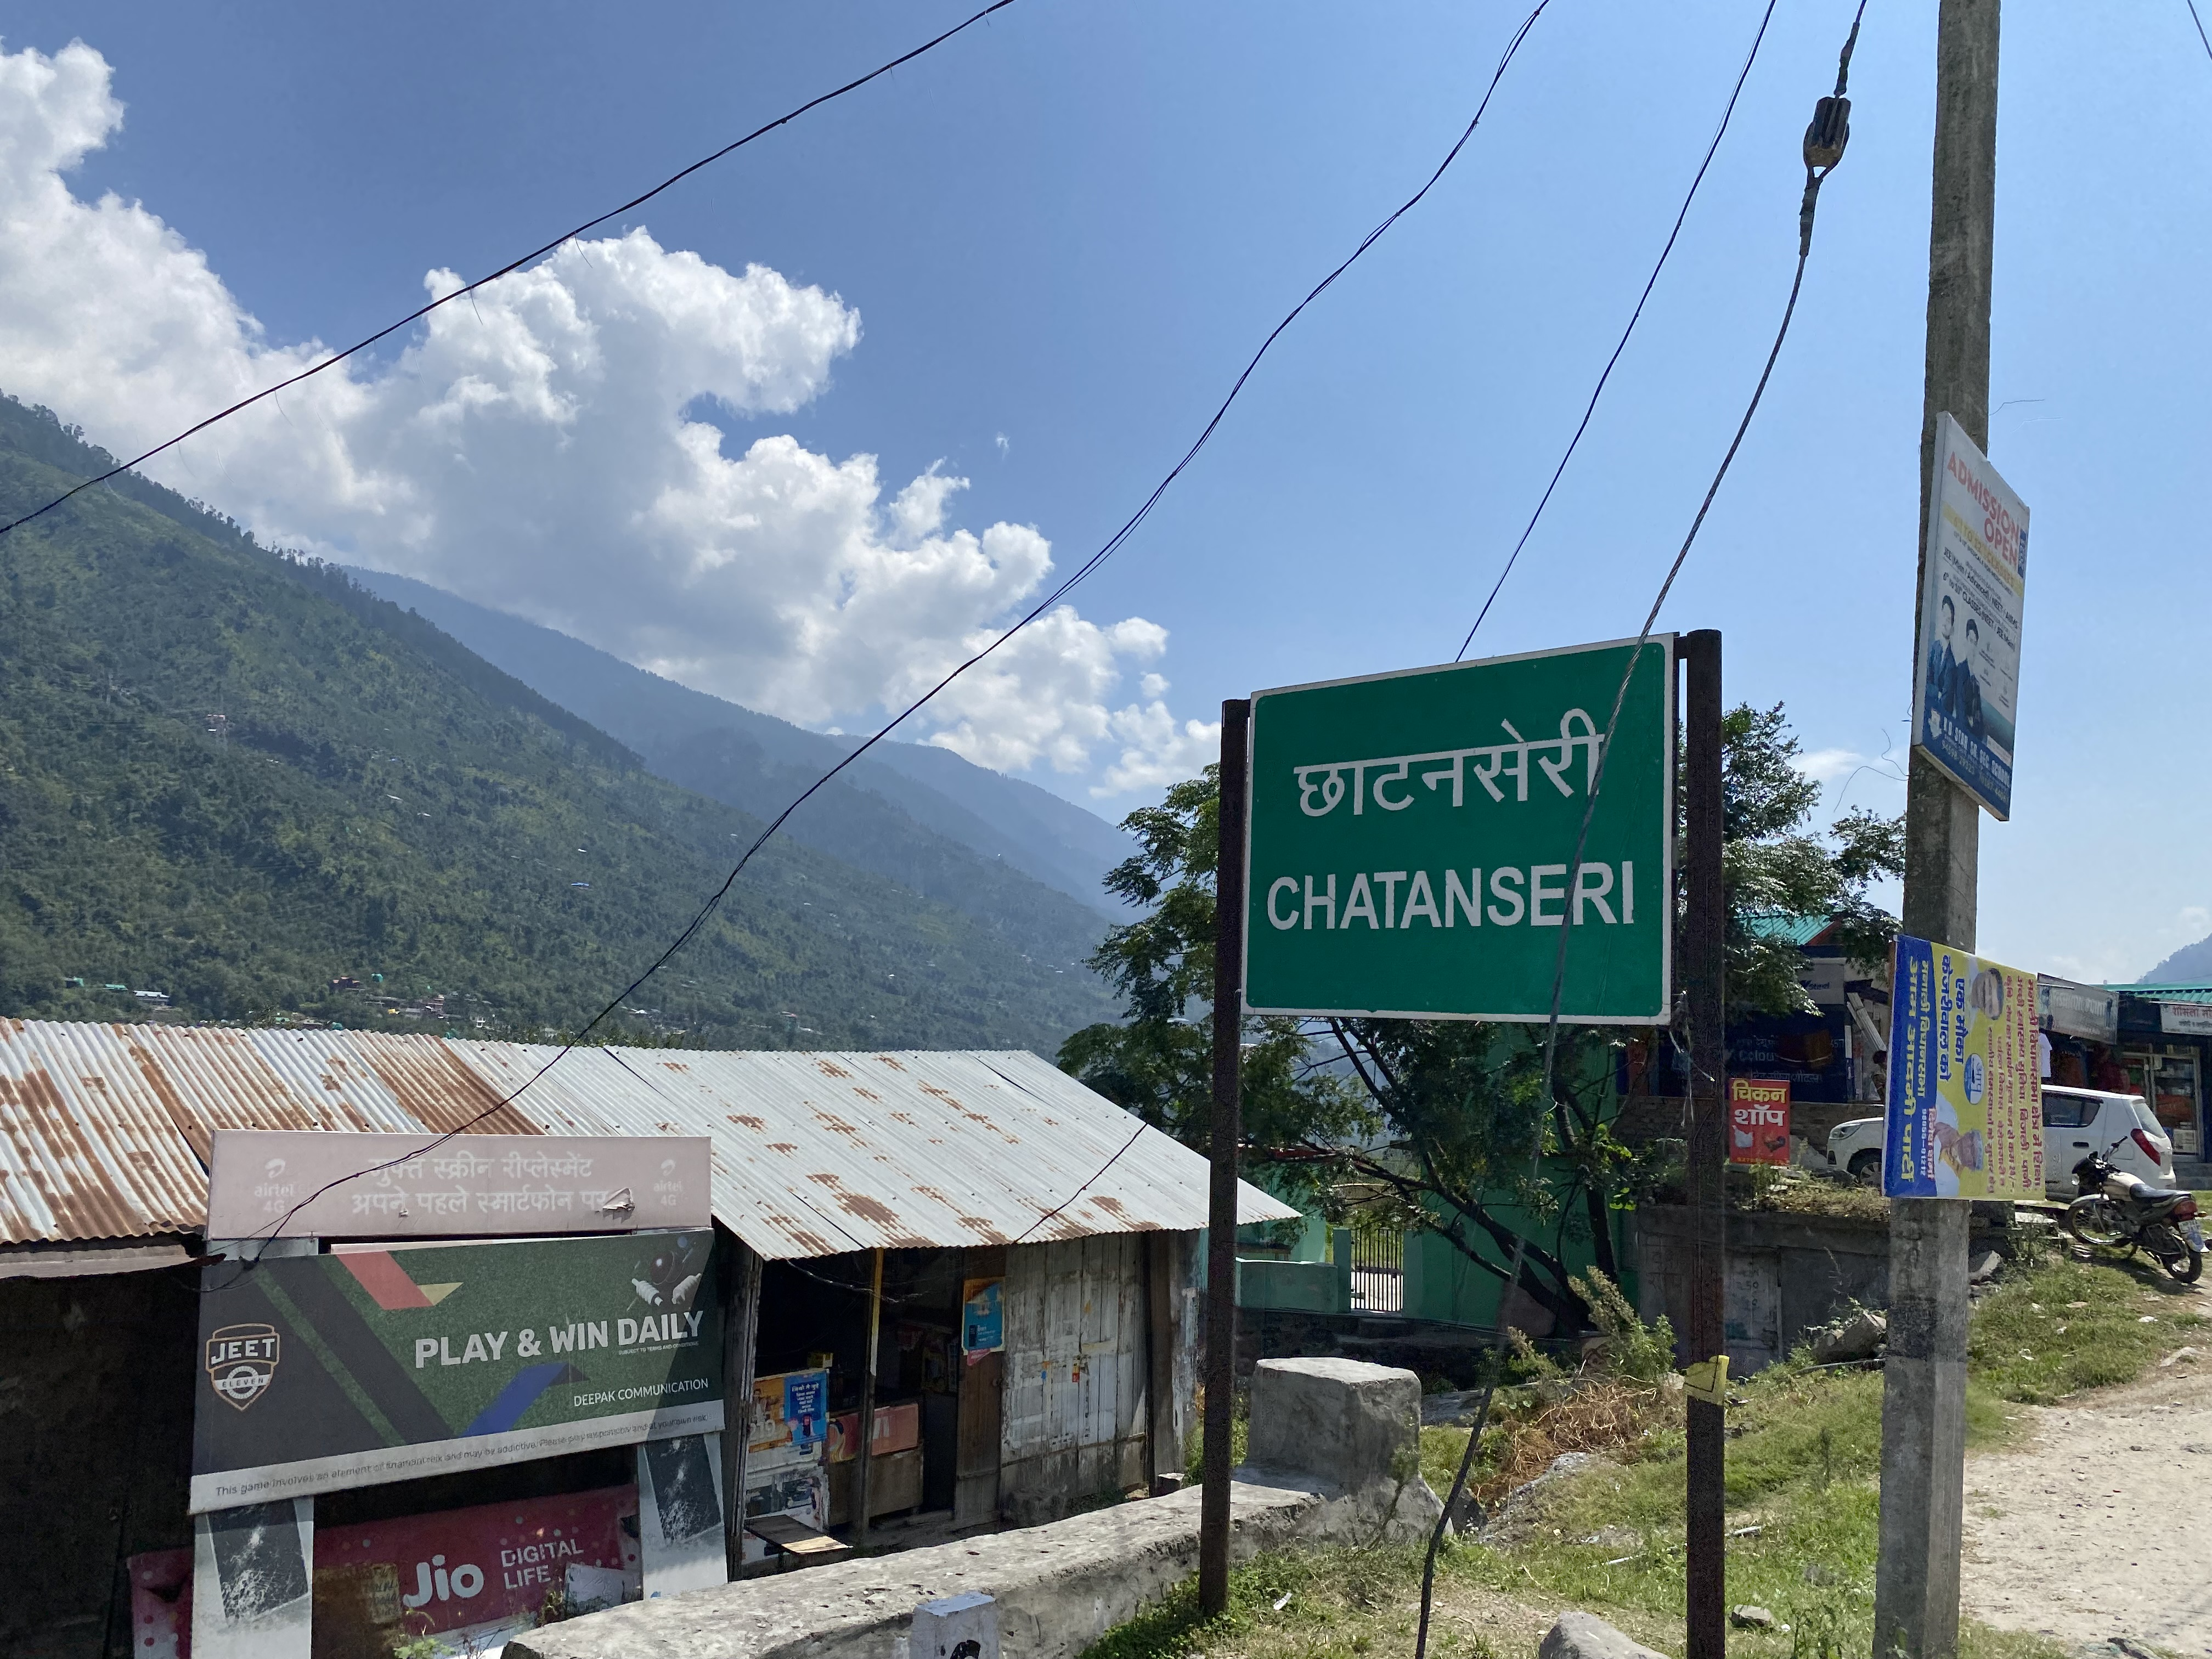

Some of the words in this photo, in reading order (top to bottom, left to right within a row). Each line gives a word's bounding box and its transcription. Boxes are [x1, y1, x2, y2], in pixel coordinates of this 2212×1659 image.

[1288, 701, 1610, 823] छाटनसेरी
[1263, 856, 1640, 941] CHATANSERI
[1905, 953, 1922, 1020] आम
[1916, 957, 1933, 1015] मनाली
[1934, 953, 1956, 1054] केजरीवाल
[1953, 975, 1967, 1014] एक
[1727, 1074, 1787, 1105] चिकन
[1901, 1023, 1921, 1120] आदमी
[1914, 1013, 1933, 1101] विधानसभा
[1936, 1051, 1954, 1086] को
[1951, 1013, 1971, 1067] मौका
[1729, 1099, 1787, 1130] शॉप
[1923, 1102, 1938, 1150] दिनेश
[252, 1181, 297, 1199] ओरेशी
[263, 1195, 291, 1217] 4G
[348, 1182, 409, 1218] अपने
[365, 1155, 428, 1190] मुफ्त
[410, 1182, 472, 1216] पहले
[432, 1144, 498, 1182] स्क्रीन
[474, 1179, 575, 1215] स्मार्टफोन
[500, 1147, 597, 1181] रीप्लेस्मेंट
[577, 1188, 611, 1212] पर
[650, 1178, 684, 1195] airtel
[656, 1193, 678, 1209] 4G
[1899, 1120, 1917, 1186] पाटी
[207, 1330, 276, 1368] JEET
[412, 1330, 510, 1372] PLAY
[512, 1326, 543, 1363] &
[545, 1318, 611, 1357] WIN
[614, 1309, 706, 1350] DAILY
[217, 1373, 266, 1390] ELEVEN
[571, 1387, 617, 1410] DEEPAK
[613, 1375, 710, 1403] COMMUNICATION
[499, 1536, 590, 1572] DIGITAL
[398, 1548, 486, 1615] Jio
[500, 1563, 554, 1593] LIFE